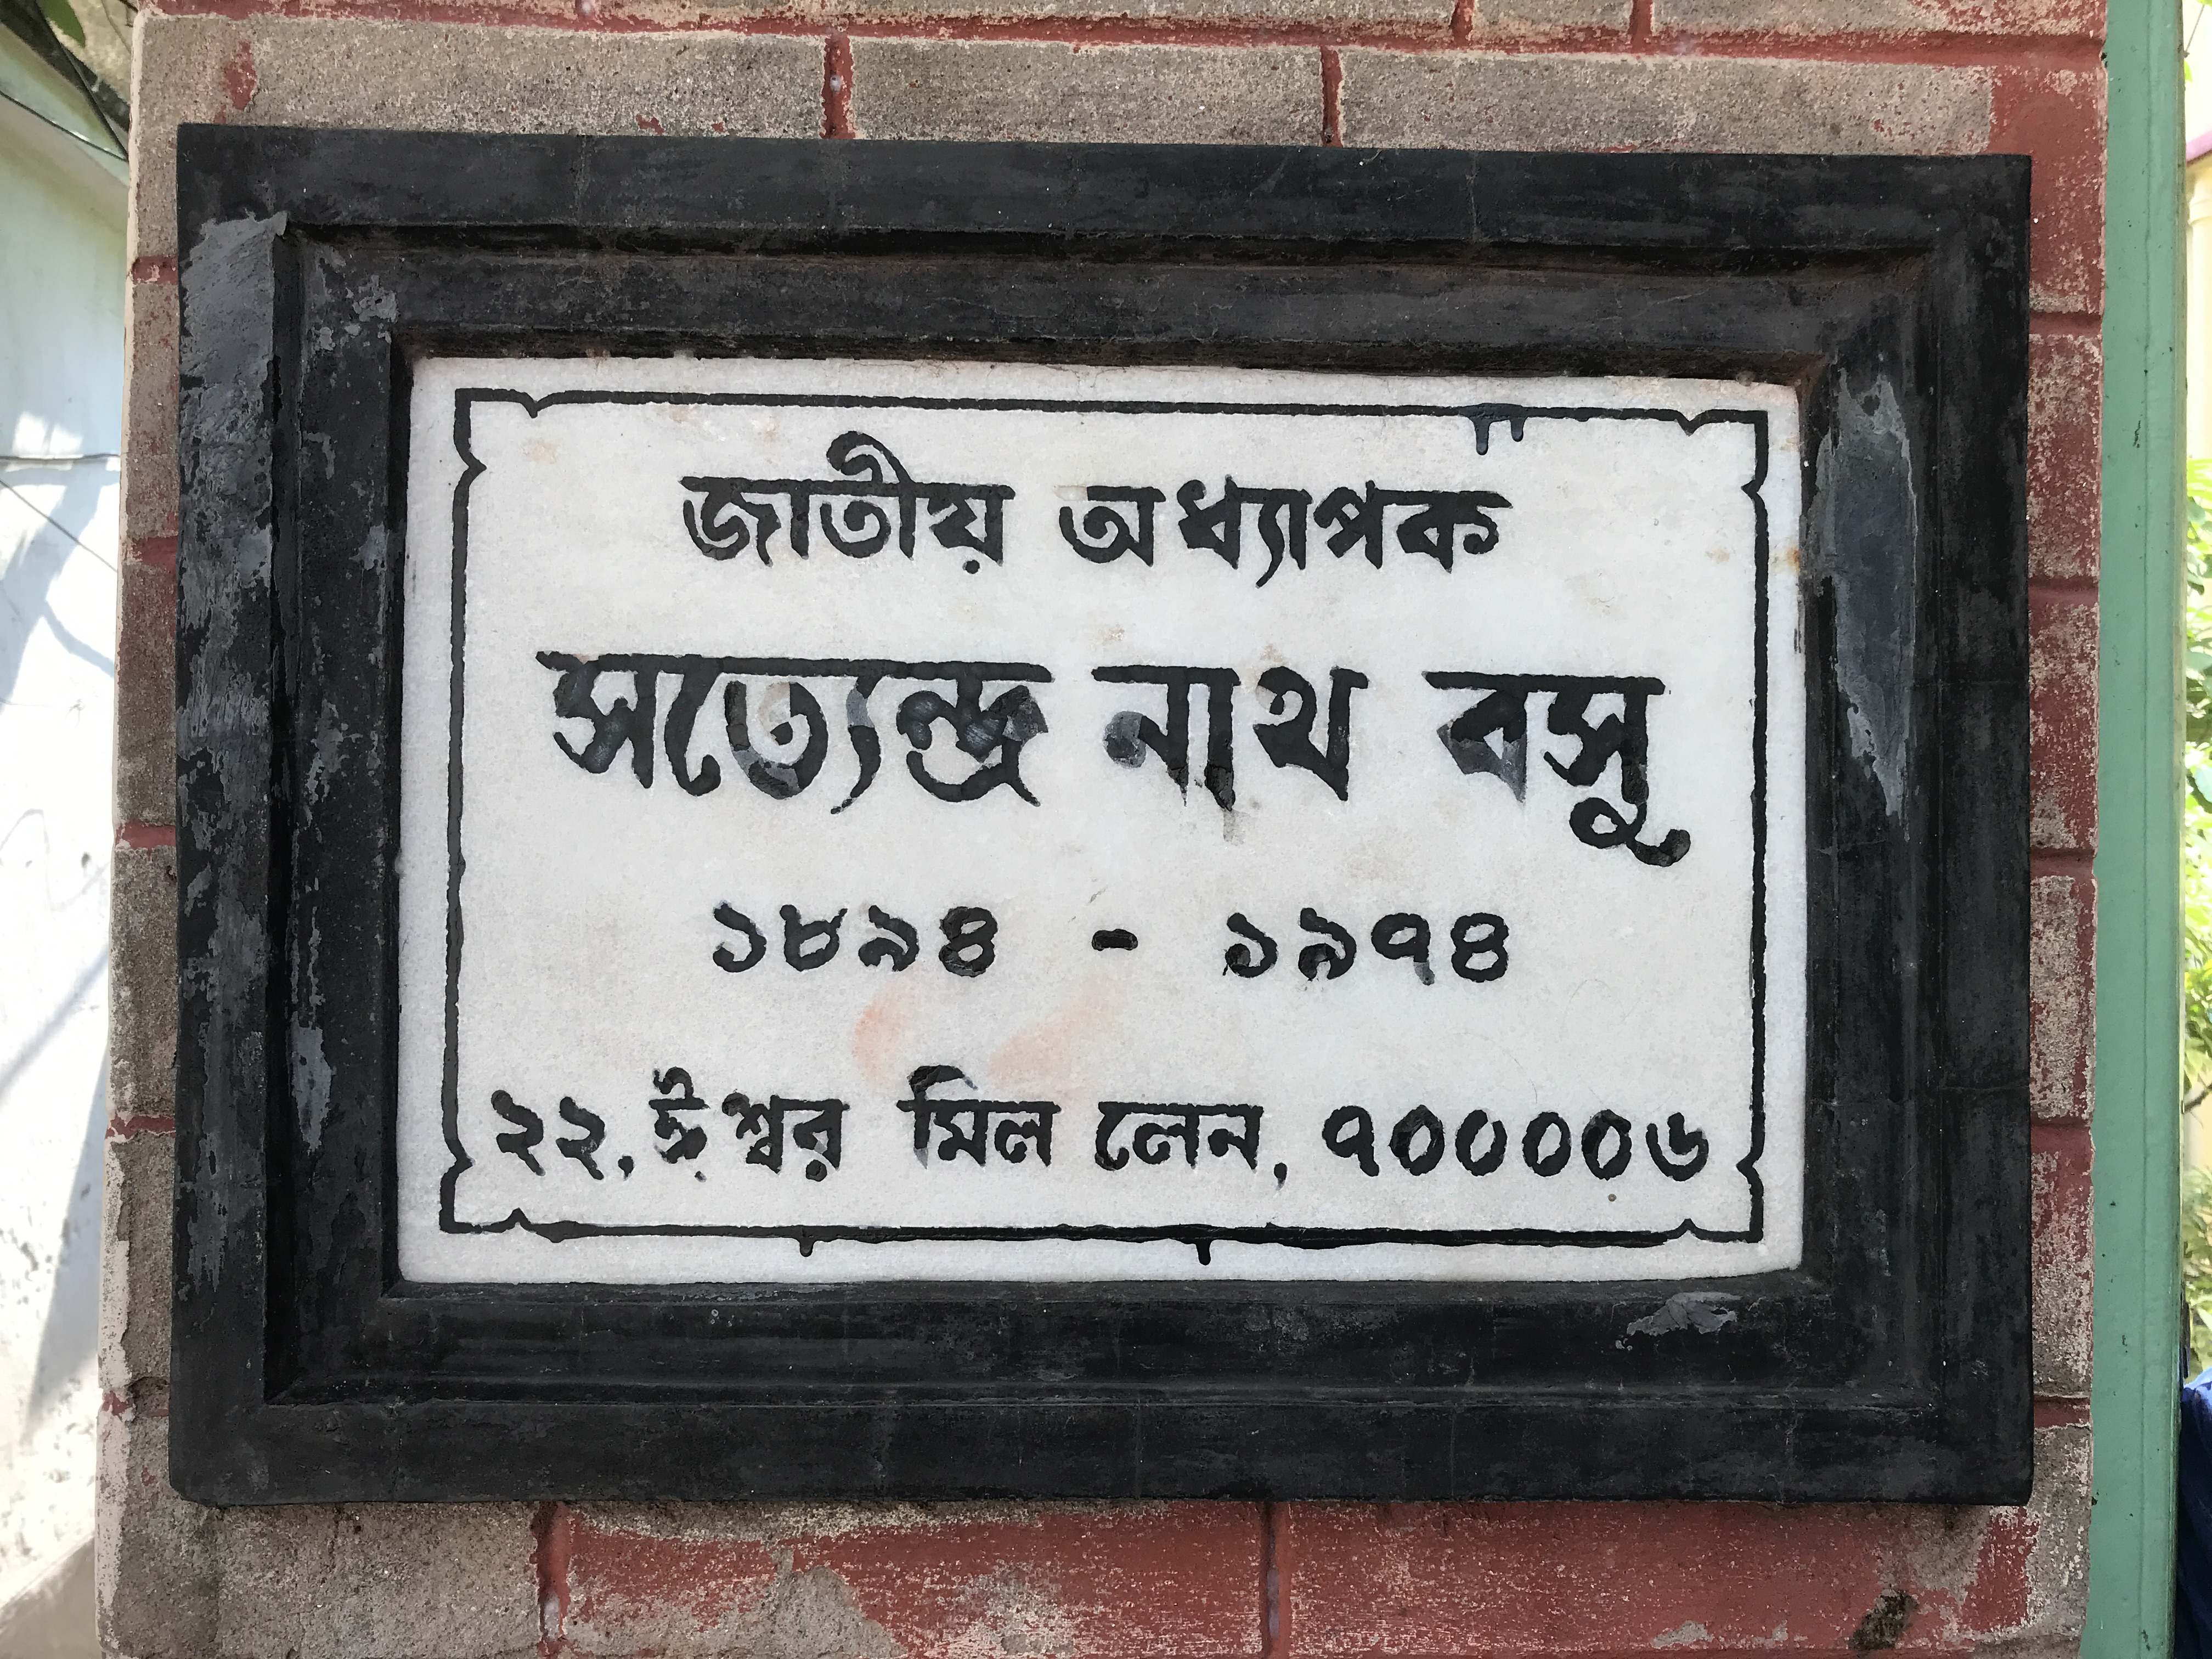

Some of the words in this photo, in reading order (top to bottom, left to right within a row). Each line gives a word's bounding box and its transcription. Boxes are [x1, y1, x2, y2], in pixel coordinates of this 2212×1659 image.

[675, 421, 1023, 583] জাতীয়
[1053, 471, 1522, 591] অধ্যাপক
[532, 646, 1065, 819] সত্যেন্দ্র
[1079, 636, 1387, 834] নাথ
[1414, 661, 1703, 876] বসু
[709, 889, 1009, 985] ১৮৯৪
[1213, 899, 1512, 992] ১ঌ৭৪
[495, 1063, 852, 1189] ২২ঈশ্বর
[899, 1062, 1064, 1179] মিল
[1087, 1093, 1276, 1180] লেন
[1318, 1102, 1718, 1189] ৭০০০০৬